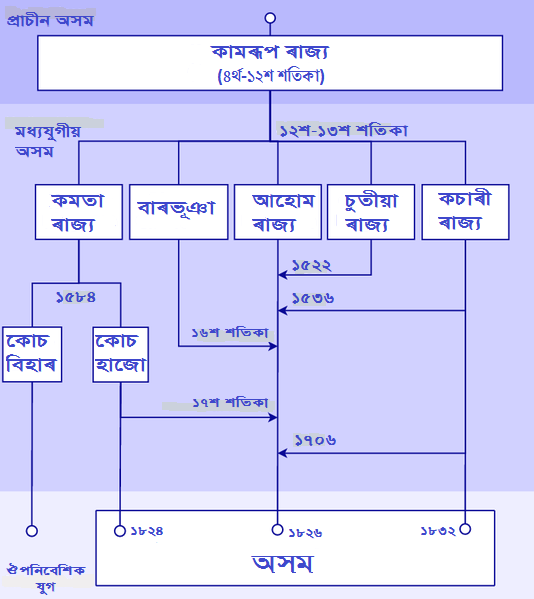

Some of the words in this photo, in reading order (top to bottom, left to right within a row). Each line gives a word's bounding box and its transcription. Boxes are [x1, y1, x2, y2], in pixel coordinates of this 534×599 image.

[7, 12, 50, 28] প্রাচীন
[57, 13, 95, 27] অসম
[208, 41, 283, 66] কামৰূপ
[285, 45, 329, 58] ৰাজ্য
[218, 62, 284, 89] (৪র্থ-১২শ শ
[278, 66, 326, 85] শতিকা)
[12, 122, 56, 140] মধ্যযু
[52, 121, 84, 140] গীয়
[276, 122, 311, 139] ১২শ
[310, 117, 357, 147] ১৩শ
[354, 114, 411, 141] শতিকা
[13, 143, 54, 158] অসম
[47, 183, 110, 215] কমতা
[133, 193, 221, 226] বাৰভূঞা
[251, 189, 323, 213] আহোম
[336, 182, 406, 217] চুতীয়া
[434, 183, 501, 212] কচাৰী৷
[48, 213, 99, 237] ৰাজ্য
[251, 217, 297, 233] ৰাজ্য
[345, 217, 390, 233] ৰাজ্য
[438, 215, 482, 230] ৰাজ্য
[287, 251, 338, 279] ১৫২২
[51, 284, 102, 309] ১৫৮৪
[283, 287, 341, 309] ১৫৩৬
[1, 325, 54, 356] কোচ
[90, 323, 143, 357] কোচ
[185, 320, 227, 344] ১৬শ
[226, 325, 269, 340] শতিকা
[5, 353, 57, 373] বিহাৰ
[94, 356, 144, 374] হাজে
[186, 387, 223, 414] ১৭শ
[220, 388, 273, 413] শতিকা
[289, 427, 340, 452] ১৭০৬
[126, 519, 169, 540] ১৮২৪
[285, 519, 327, 541] ১৮২৬
[414, 519, 461, 541] ১৮৩২
[19, 556, 89, 579] পনিবেশিক
[252, 554, 316, 577] অসম
[30, 578, 59, 598] যুগ